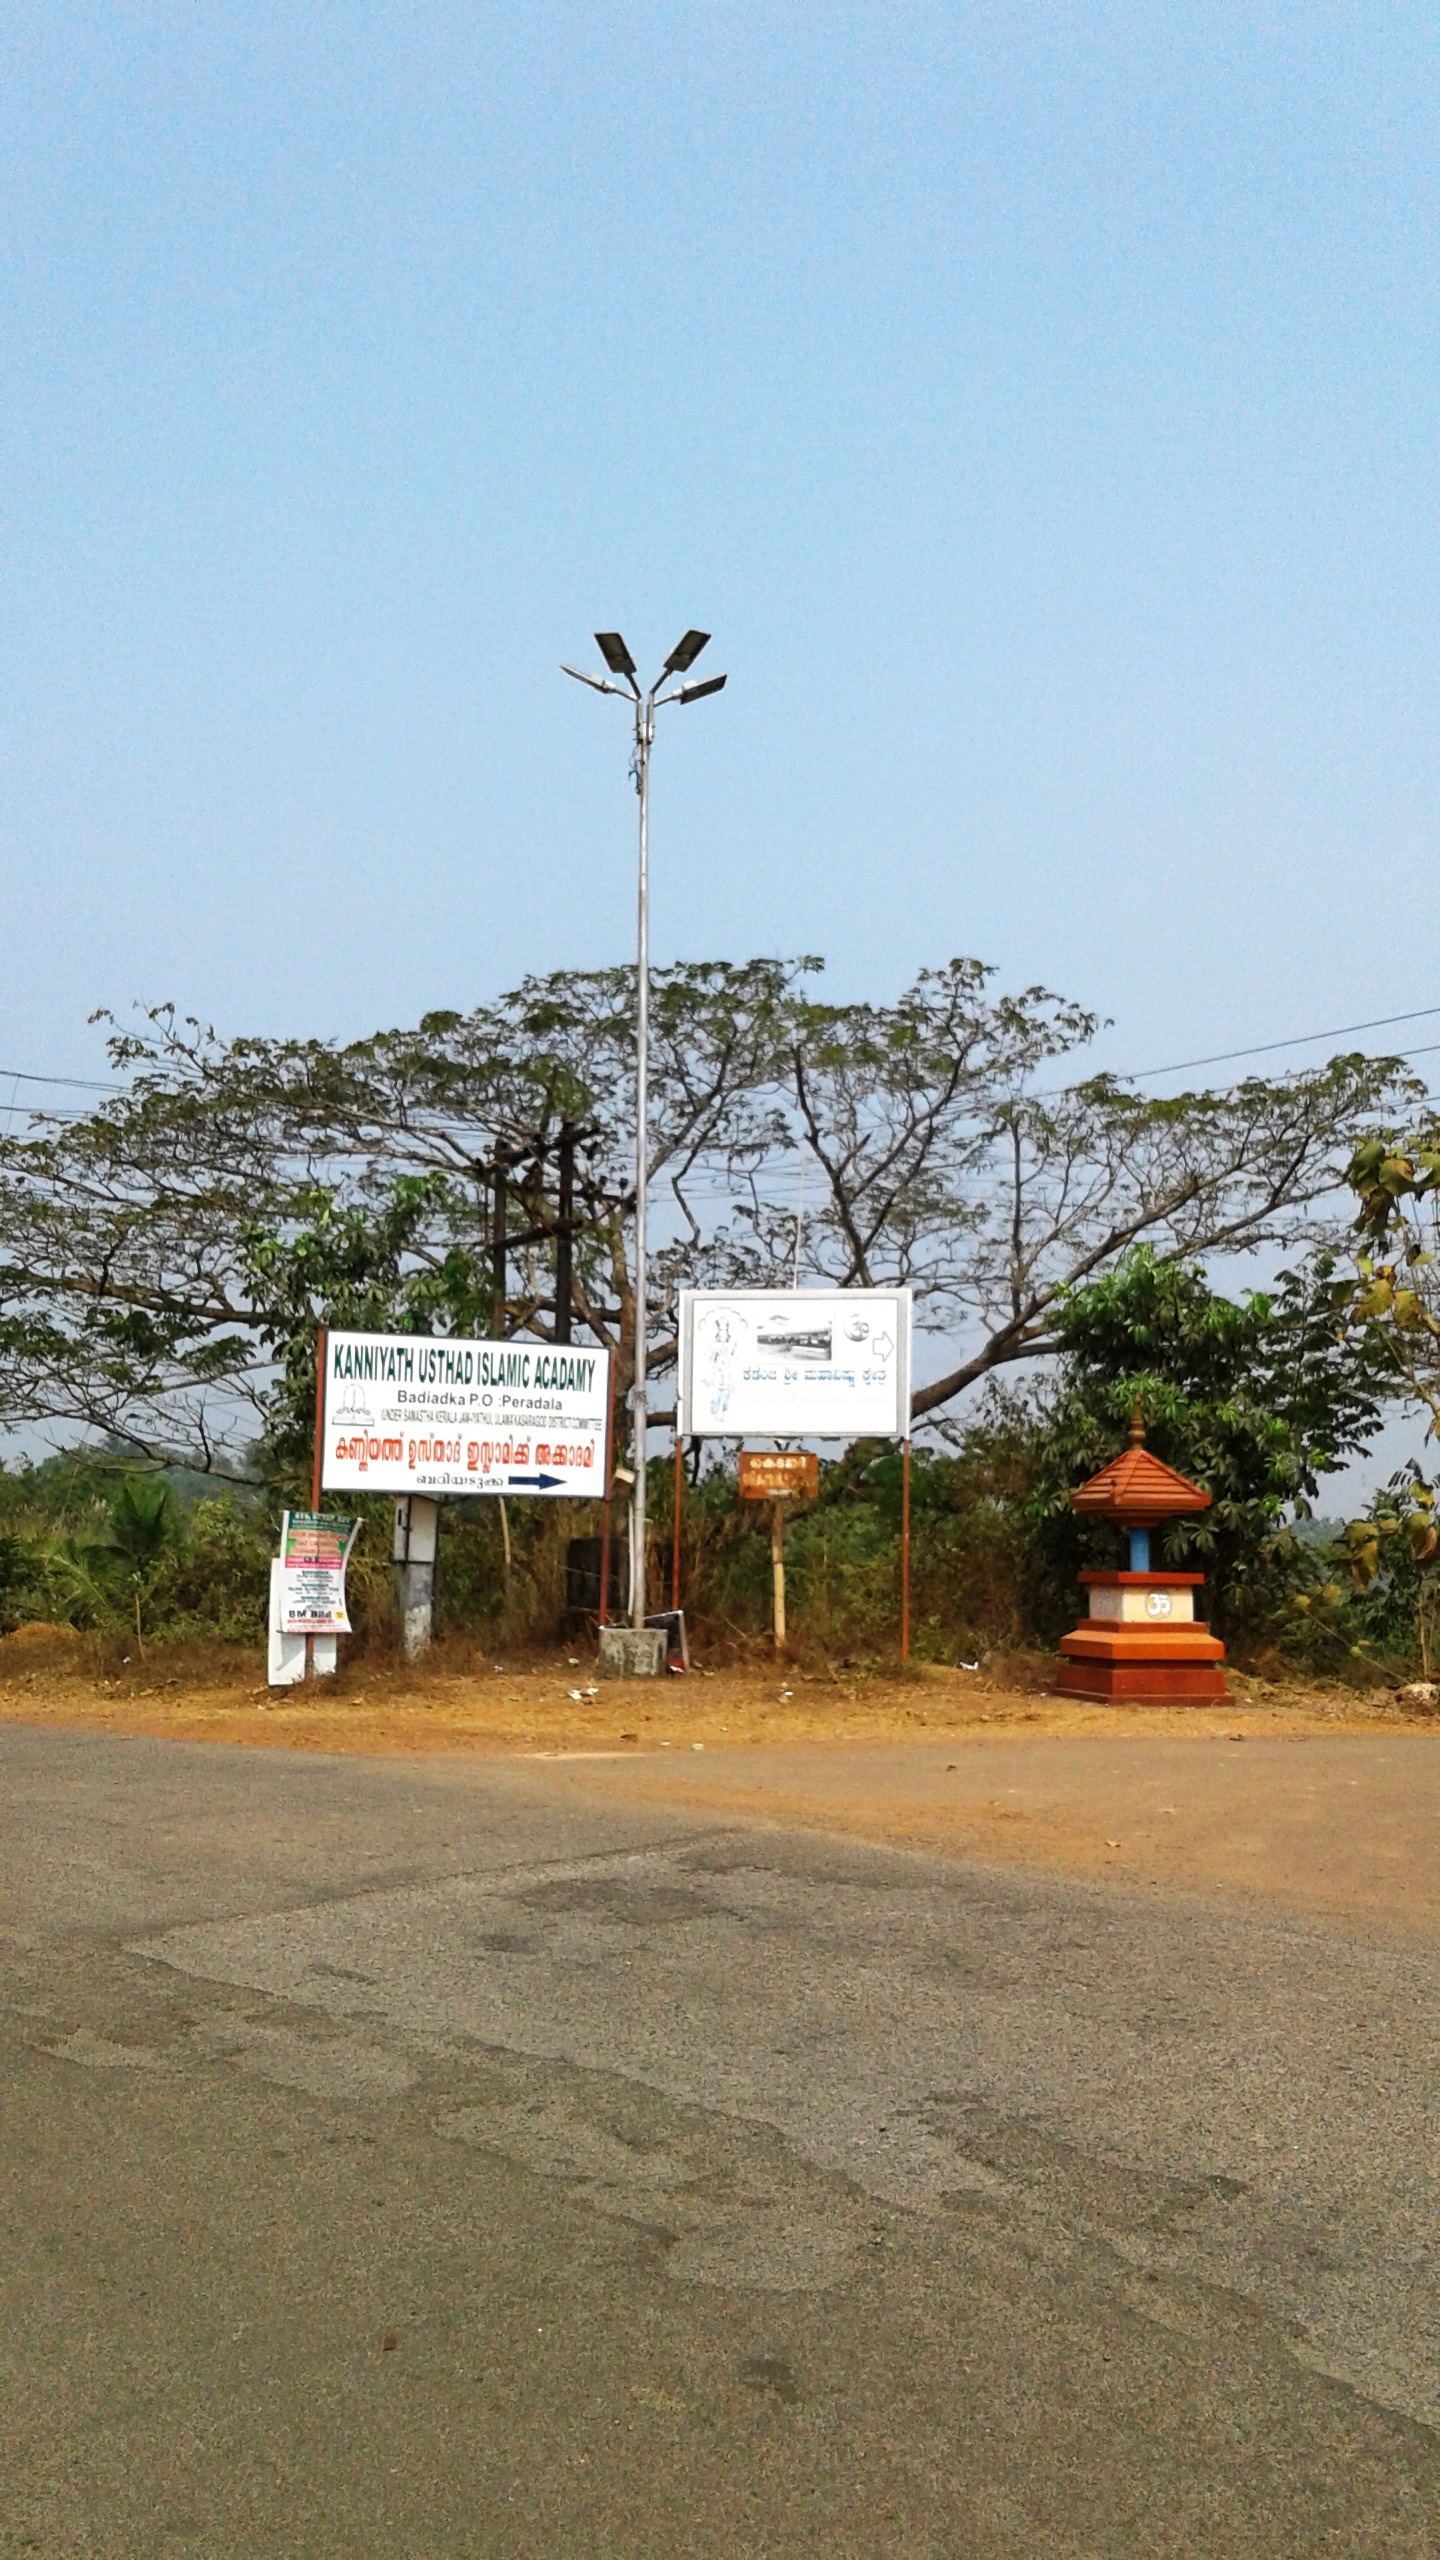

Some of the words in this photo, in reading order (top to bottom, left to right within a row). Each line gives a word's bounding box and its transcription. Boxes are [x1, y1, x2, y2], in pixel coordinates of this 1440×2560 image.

[329, 1340, 419, 1385] KANNIYATH
[416, 1343, 477, 1390] USTHAD
[473, 1345, 537, 1391] ISLAMIC
[530, 1351, 599, 1397] ACADAMY
[393, 1385, 470, 1413] Badiadka
[466, 1390, 497, 1414] P.O.
[499, 1391, 568, 1415] Peradala
[330, 1423, 410, 1473] കണ്ണിയത്ത്
[399, 1425, 465, 1477] ഉസ്‌താദ്
[462, 1430, 537, 1479] ഇസ്ലാമിക്ക്
[531, 1436, 598, 1471] അക്കാദമി
[408, 1470, 508, 1494] ബദിയടുക്ക